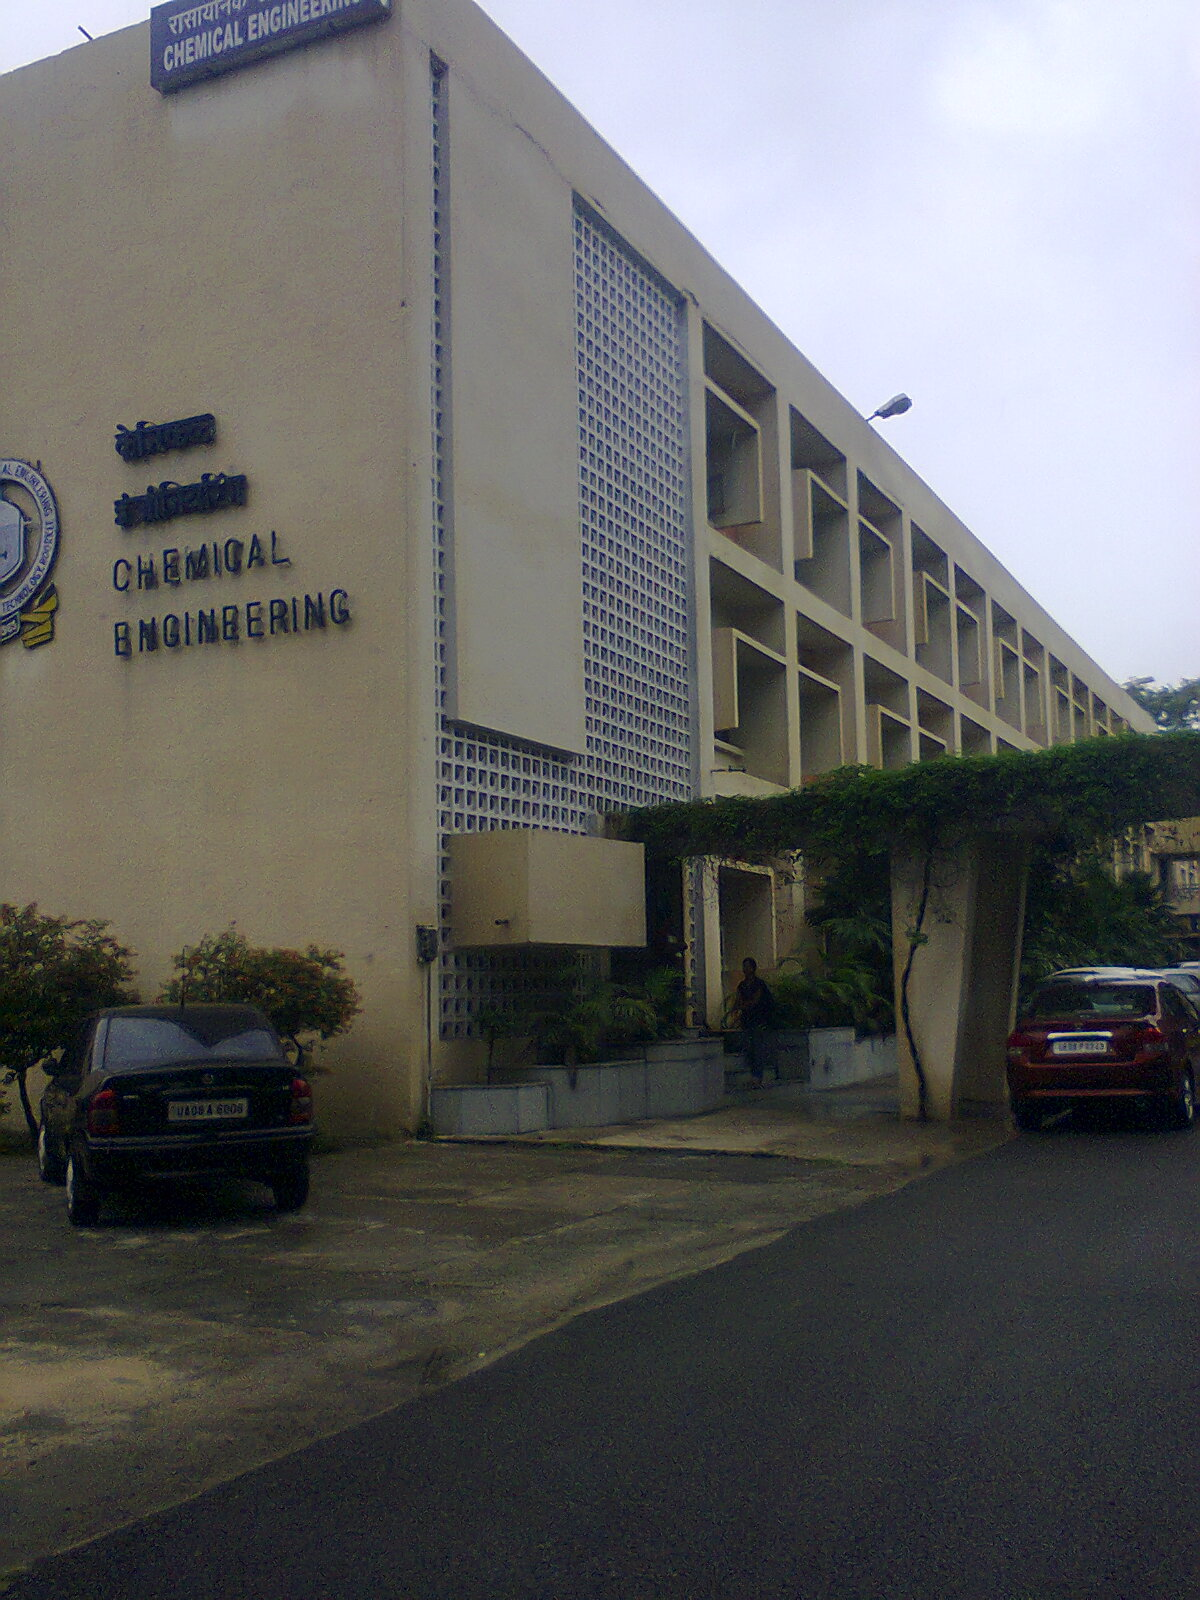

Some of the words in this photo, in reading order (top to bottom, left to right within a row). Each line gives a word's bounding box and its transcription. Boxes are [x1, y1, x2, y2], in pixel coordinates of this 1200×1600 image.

[158, 17, 246, 79] CHEMICAL
[159, 0, 250, 41] रासायनिक
[103, 405, 219, 465] केमिकल
[109, 466, 252, 534] इंजीनियरिंग
[109, 527, 293, 598] CHEMICAL
[107, 584, 354, 663] ENGINBERING